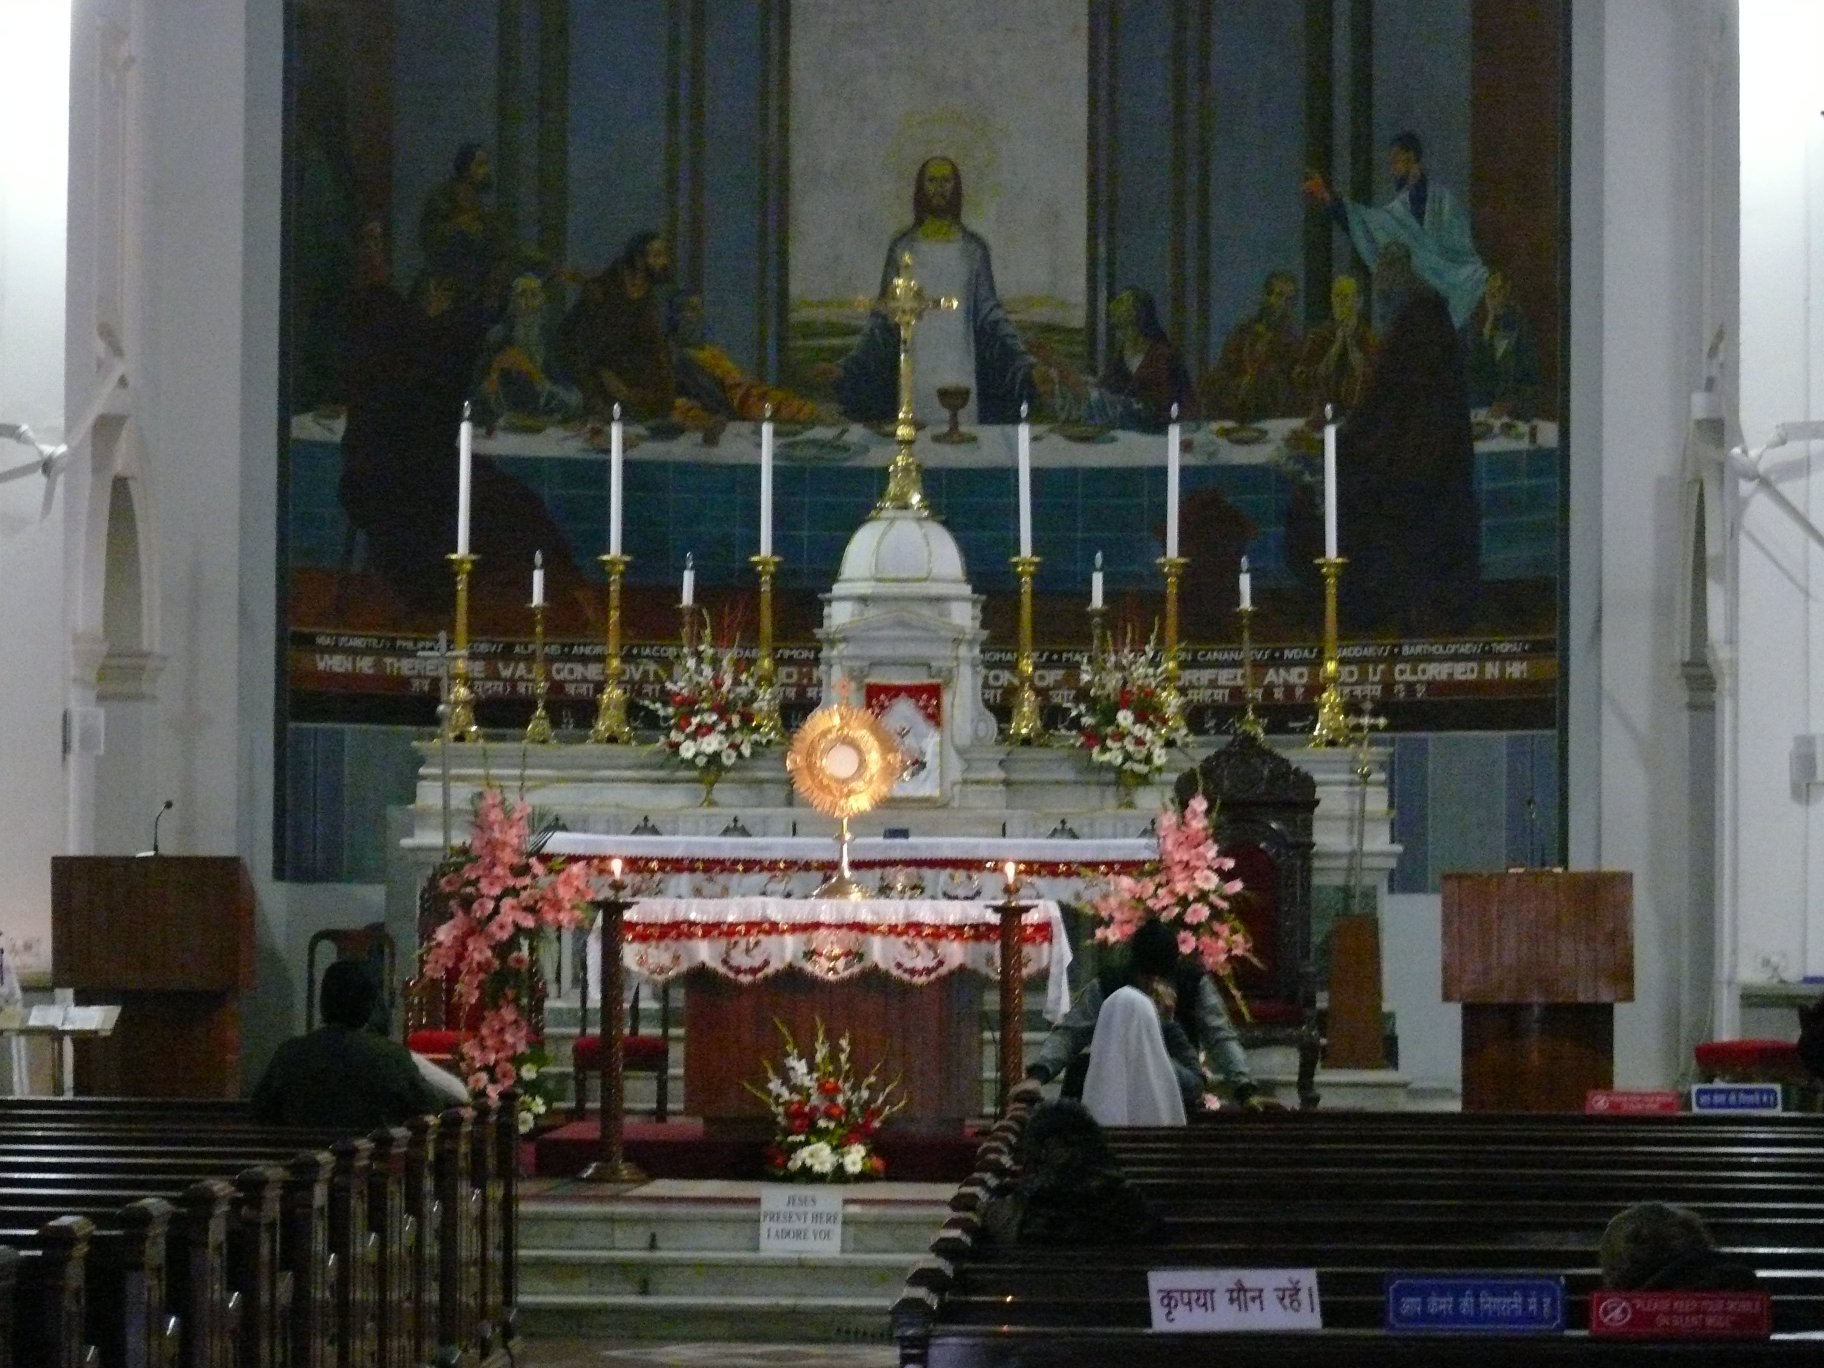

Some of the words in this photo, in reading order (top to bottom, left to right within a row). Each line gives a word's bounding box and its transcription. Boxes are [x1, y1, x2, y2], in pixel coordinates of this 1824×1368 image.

[1158, 1286, 1220, 1329] कृपया
[1224, 1275, 1267, 1315] मौन
[1273, 1273, 1305, 1315] रहें
[1394, 1294, 1425, 1319] आप
[1423, 1287, 1457, 1318] कैमरे
[1457, 1284, 1478, 1319] की
[1474, 1287, 1525, 1319] निगरानी
[1524, 1289, 1541, 1319] में
[1539, 1289, 1555, 1321] No